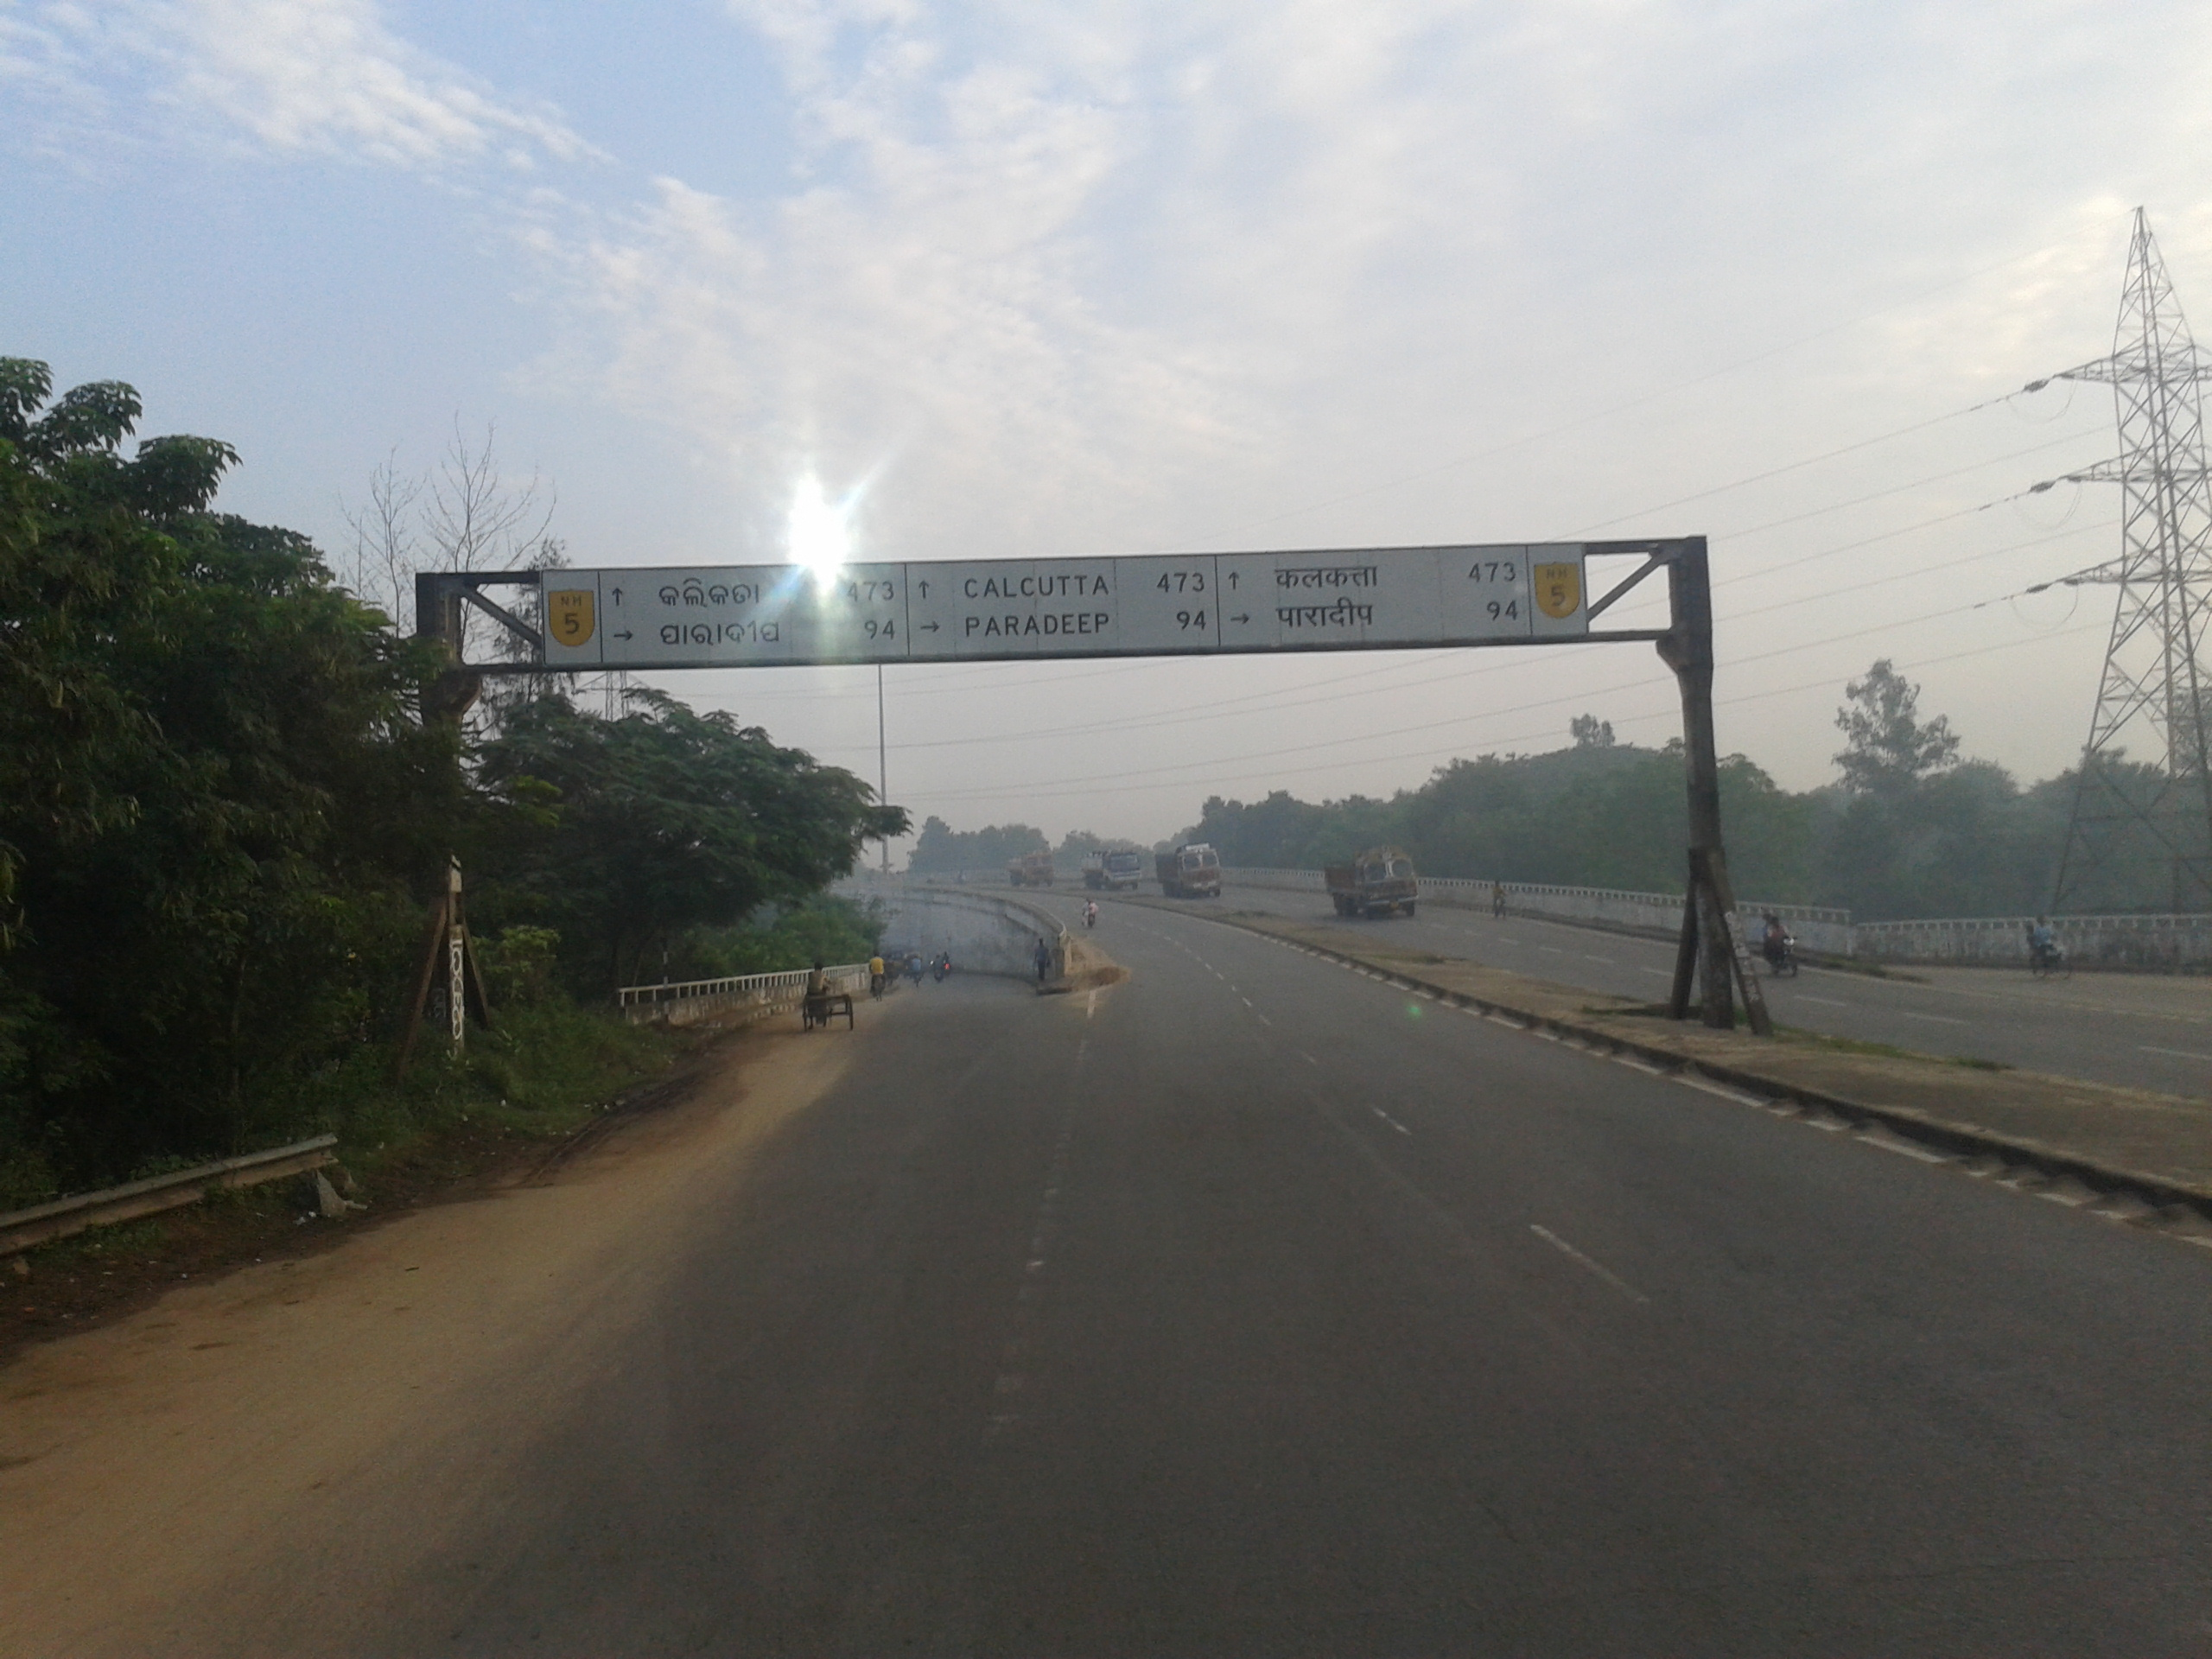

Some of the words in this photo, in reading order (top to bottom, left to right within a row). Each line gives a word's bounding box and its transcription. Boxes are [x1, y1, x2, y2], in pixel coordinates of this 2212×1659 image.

[656, 571, 763, 611] କଲିକତା
[962, 571, 1115, 599] CALCUTTA
[1155, 566, 1207, 597] 473
[1270, 561, 1380, 592] कलकत्ता
[1466, 556, 1518, 586] 473
[657, 617, 783, 651] ପାରାଦୀପ
[957, 609, 1114, 644] PARADEEP
[1170, 606, 1211, 635] 94
[1272, 588, 1376, 631] पारादीप
[1480, 595, 1522, 626] 94